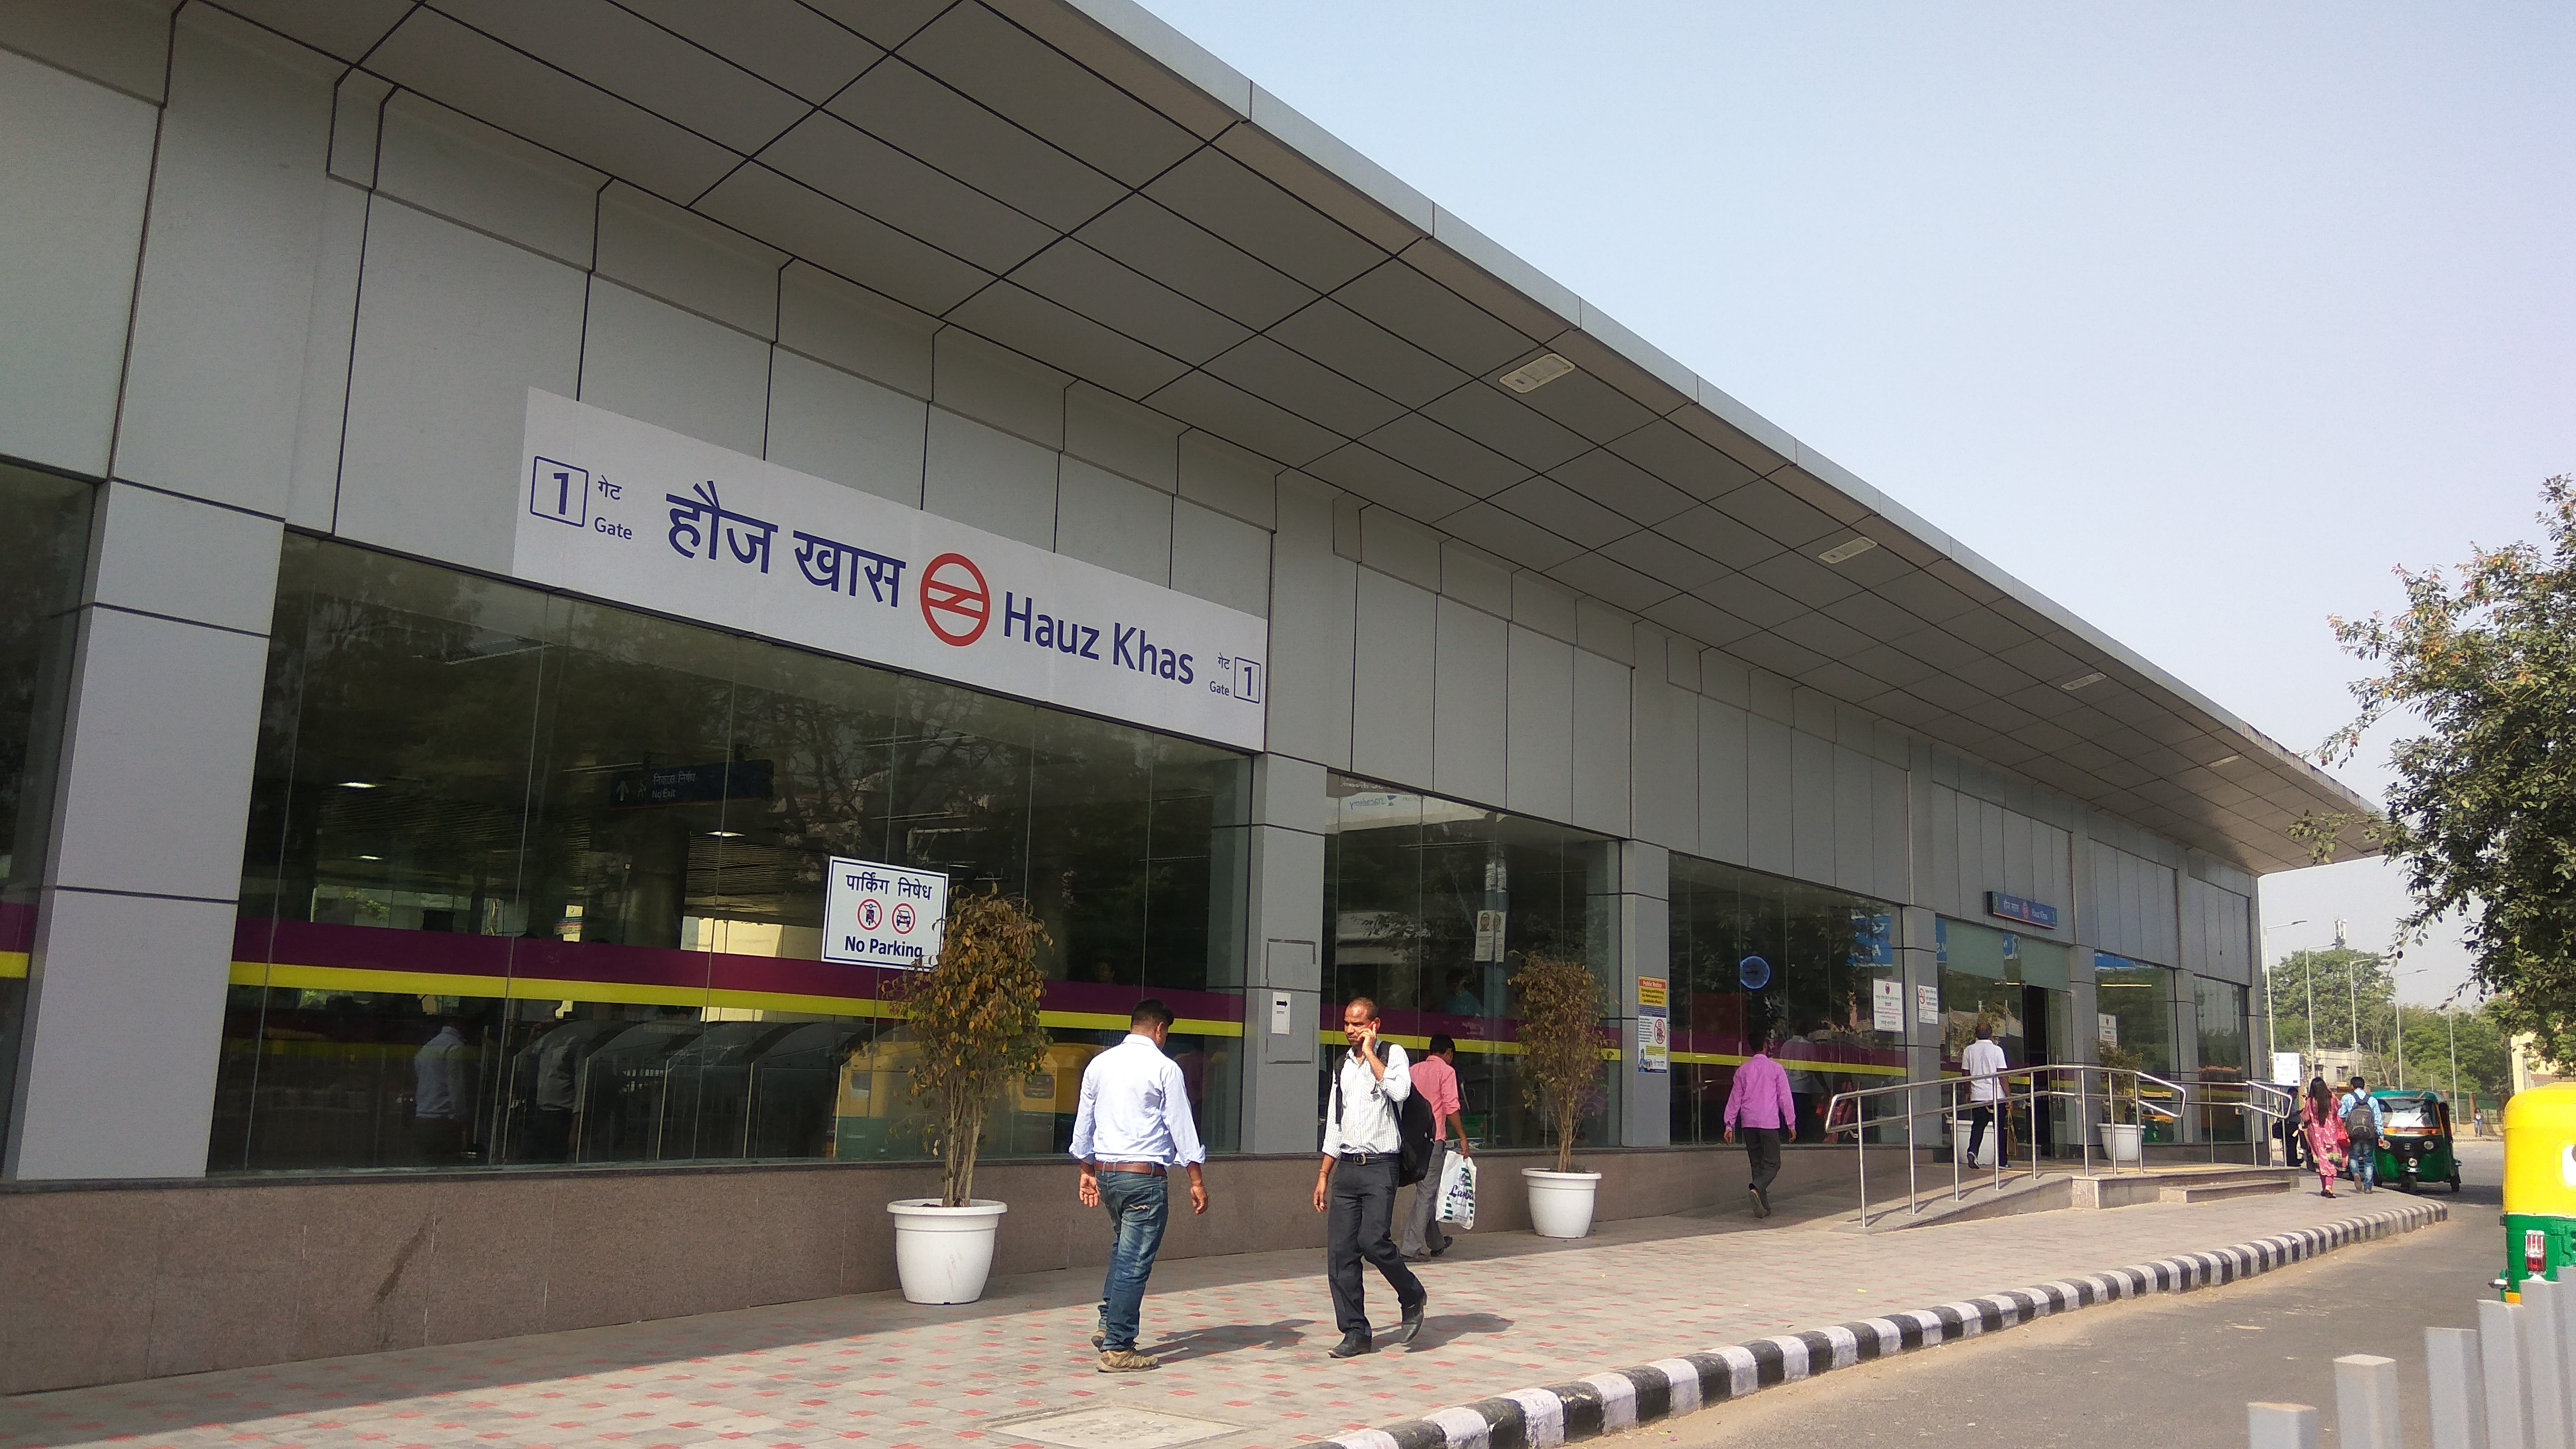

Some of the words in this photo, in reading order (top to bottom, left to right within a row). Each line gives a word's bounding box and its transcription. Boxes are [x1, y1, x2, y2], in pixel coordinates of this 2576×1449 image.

[590, 469, 626, 501] गेट
[592, 510, 636, 544] Gate
[657, 477, 781, 577] हौज
[792, 523, 909, 611] खास
[1001, 583, 1104, 663] Hauz
[1107, 619, 1196, 686] Khas
[1212, 648, 1233, 675] गेट
[1209, 676, 1233, 700] Gate
[651, 769, 677, 787] निकास
[673, 766, 698, 784] निषेध
[648, 788, 663, 802] No
[662, 786, 678, 801] Exit
[844, 869, 892, 895] पार्किंग
[894, 874, 934, 901] निषेध
[2000, 895, 2012, 913] हौज
[845, 933, 867, 954] No
[868, 937, 925, 964] Parking